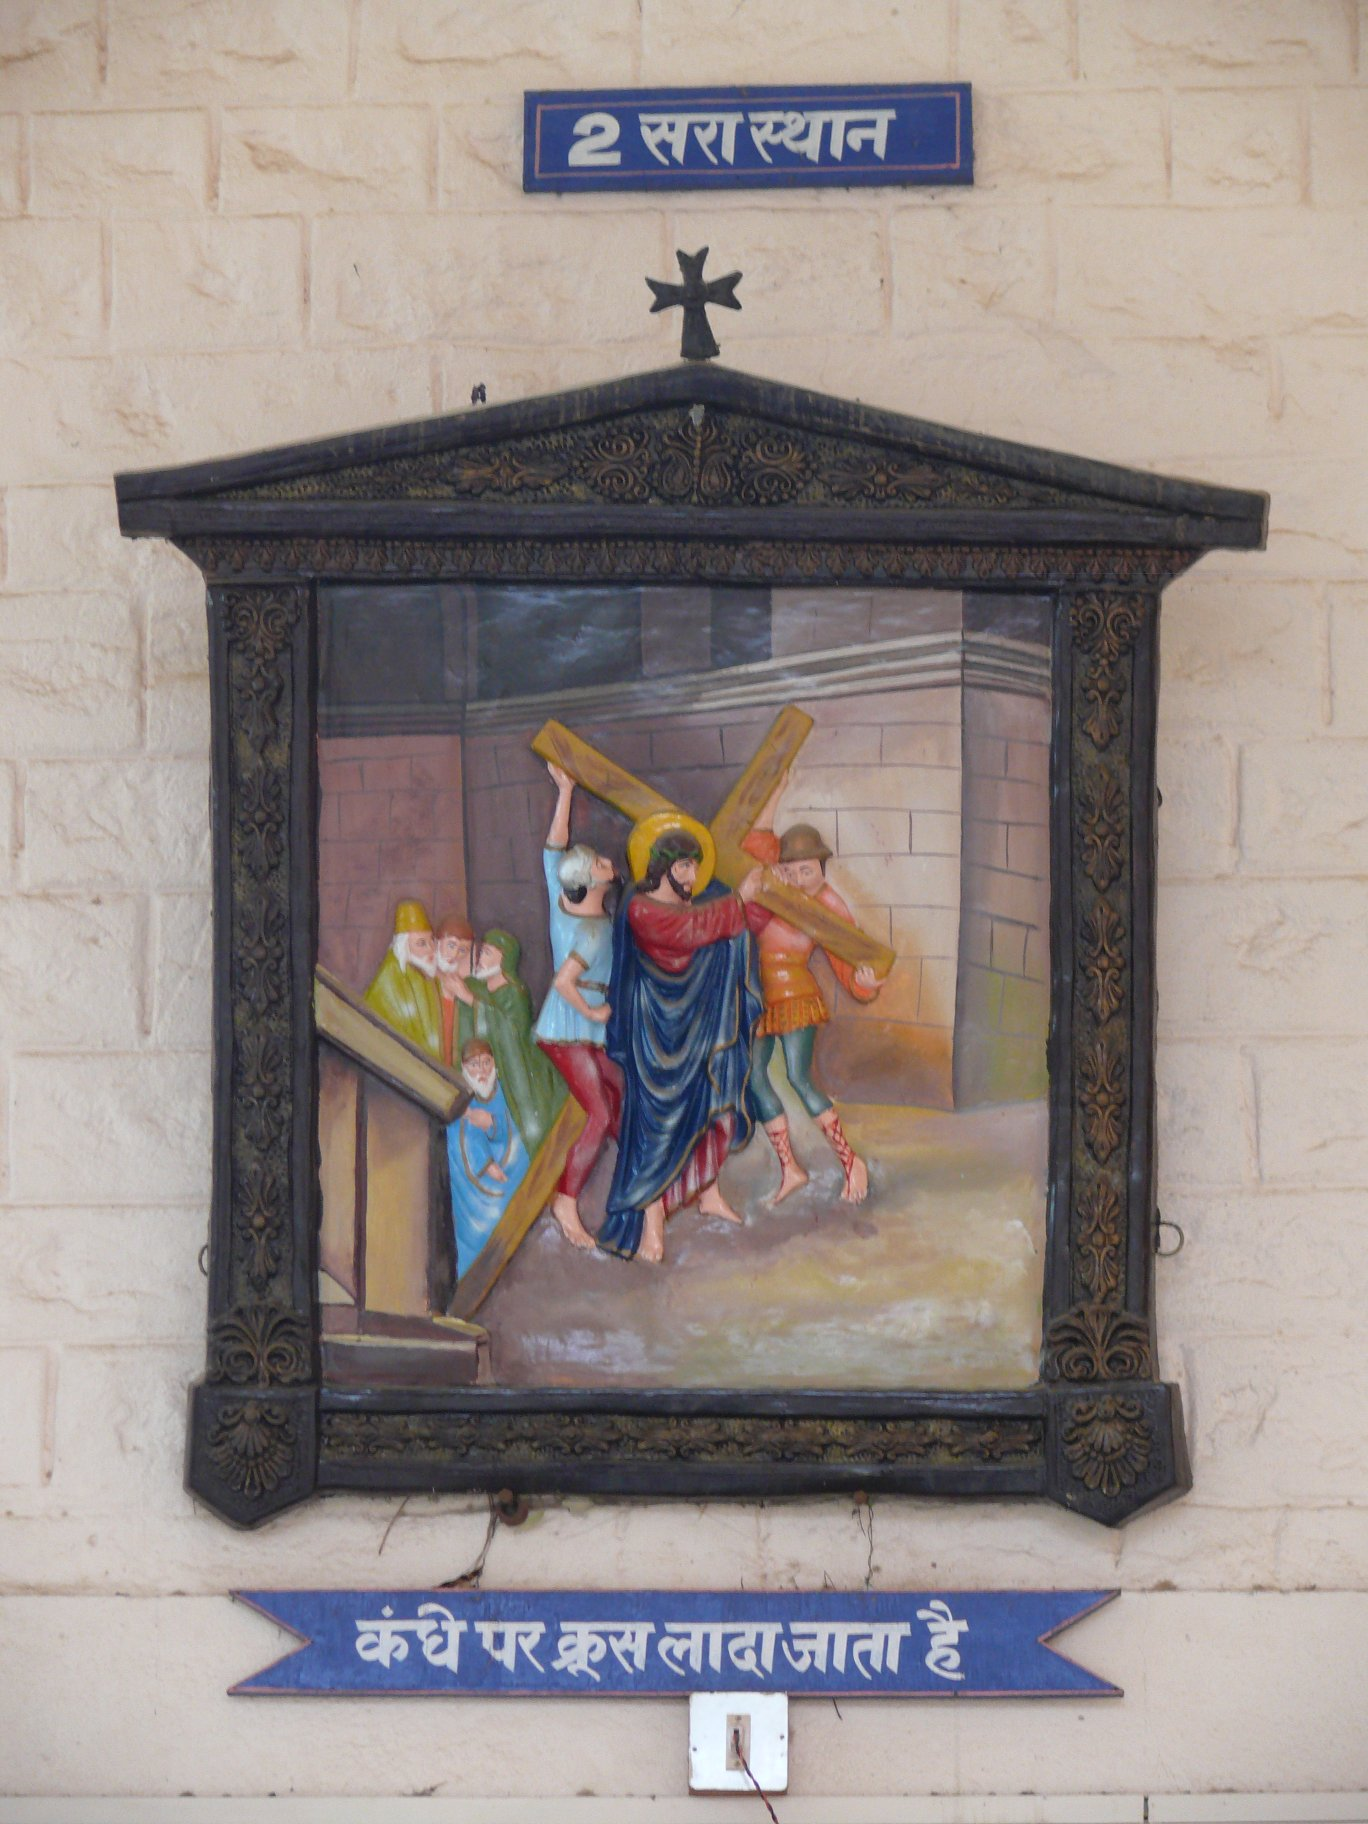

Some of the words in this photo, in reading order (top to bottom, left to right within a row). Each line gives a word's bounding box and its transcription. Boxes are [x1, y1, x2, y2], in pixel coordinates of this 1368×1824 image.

[564, 108, 627, 169] 2
[635, 105, 899, 168] सरास्थान
[350, 1601, 471, 1677] कंधे
[472, 1618, 549, 1679] पर
[549, 1617, 658, 1686] क्रूस
[652, 1619, 787, 1683] लादा
[777, 1615, 913, 1683] जाता
[913, 1593, 969, 1685] है